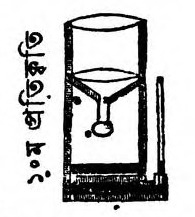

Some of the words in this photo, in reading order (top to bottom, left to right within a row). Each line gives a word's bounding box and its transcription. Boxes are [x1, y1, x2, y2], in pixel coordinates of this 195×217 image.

[12, 22, 55, 143] প্রতিকৃতি
[16, 132, 56, 192] ১়০ম